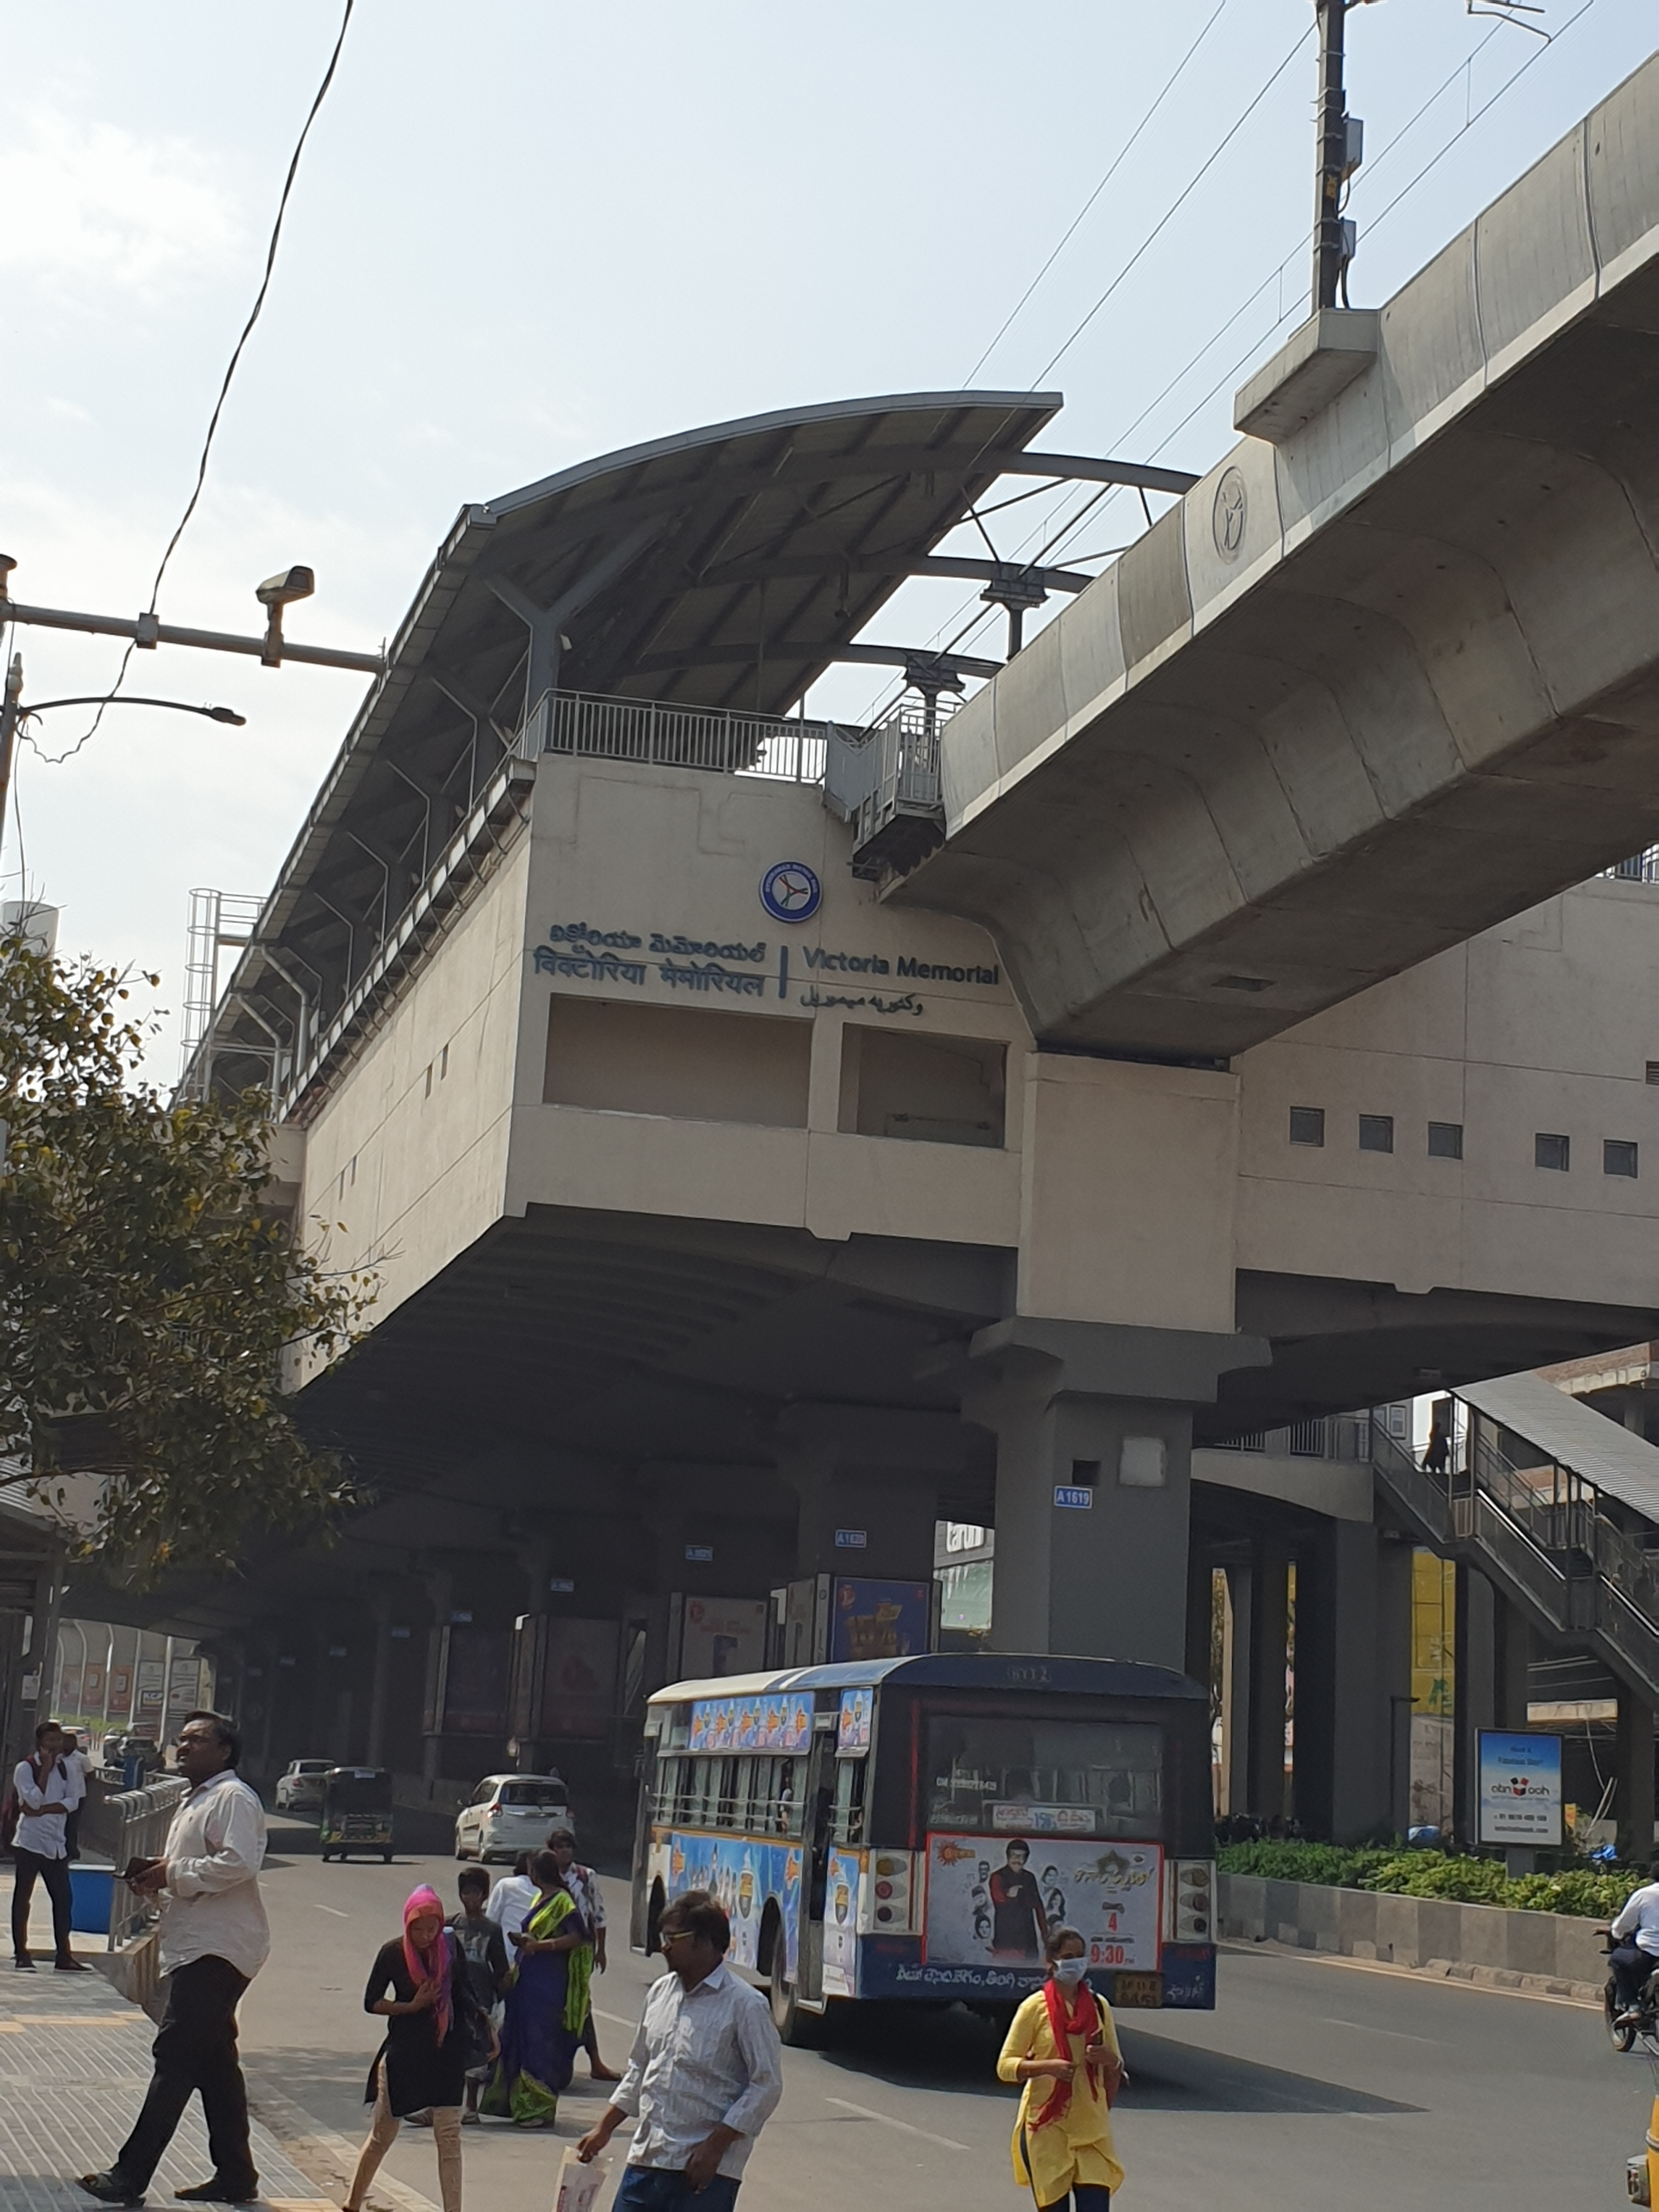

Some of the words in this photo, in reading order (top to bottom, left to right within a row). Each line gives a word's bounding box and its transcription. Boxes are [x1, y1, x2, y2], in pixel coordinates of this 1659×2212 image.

[532, 941, 651, 985] विक्टोरिया
[546, 919, 647, 951] లికోరియా
[644, 927, 771, 965] మెమోరియల్
[657, 952, 769, 1001] मेमोरियल
[797, 945, 894, 977] Victoria
[890, 952, 1004, 987] Memorial